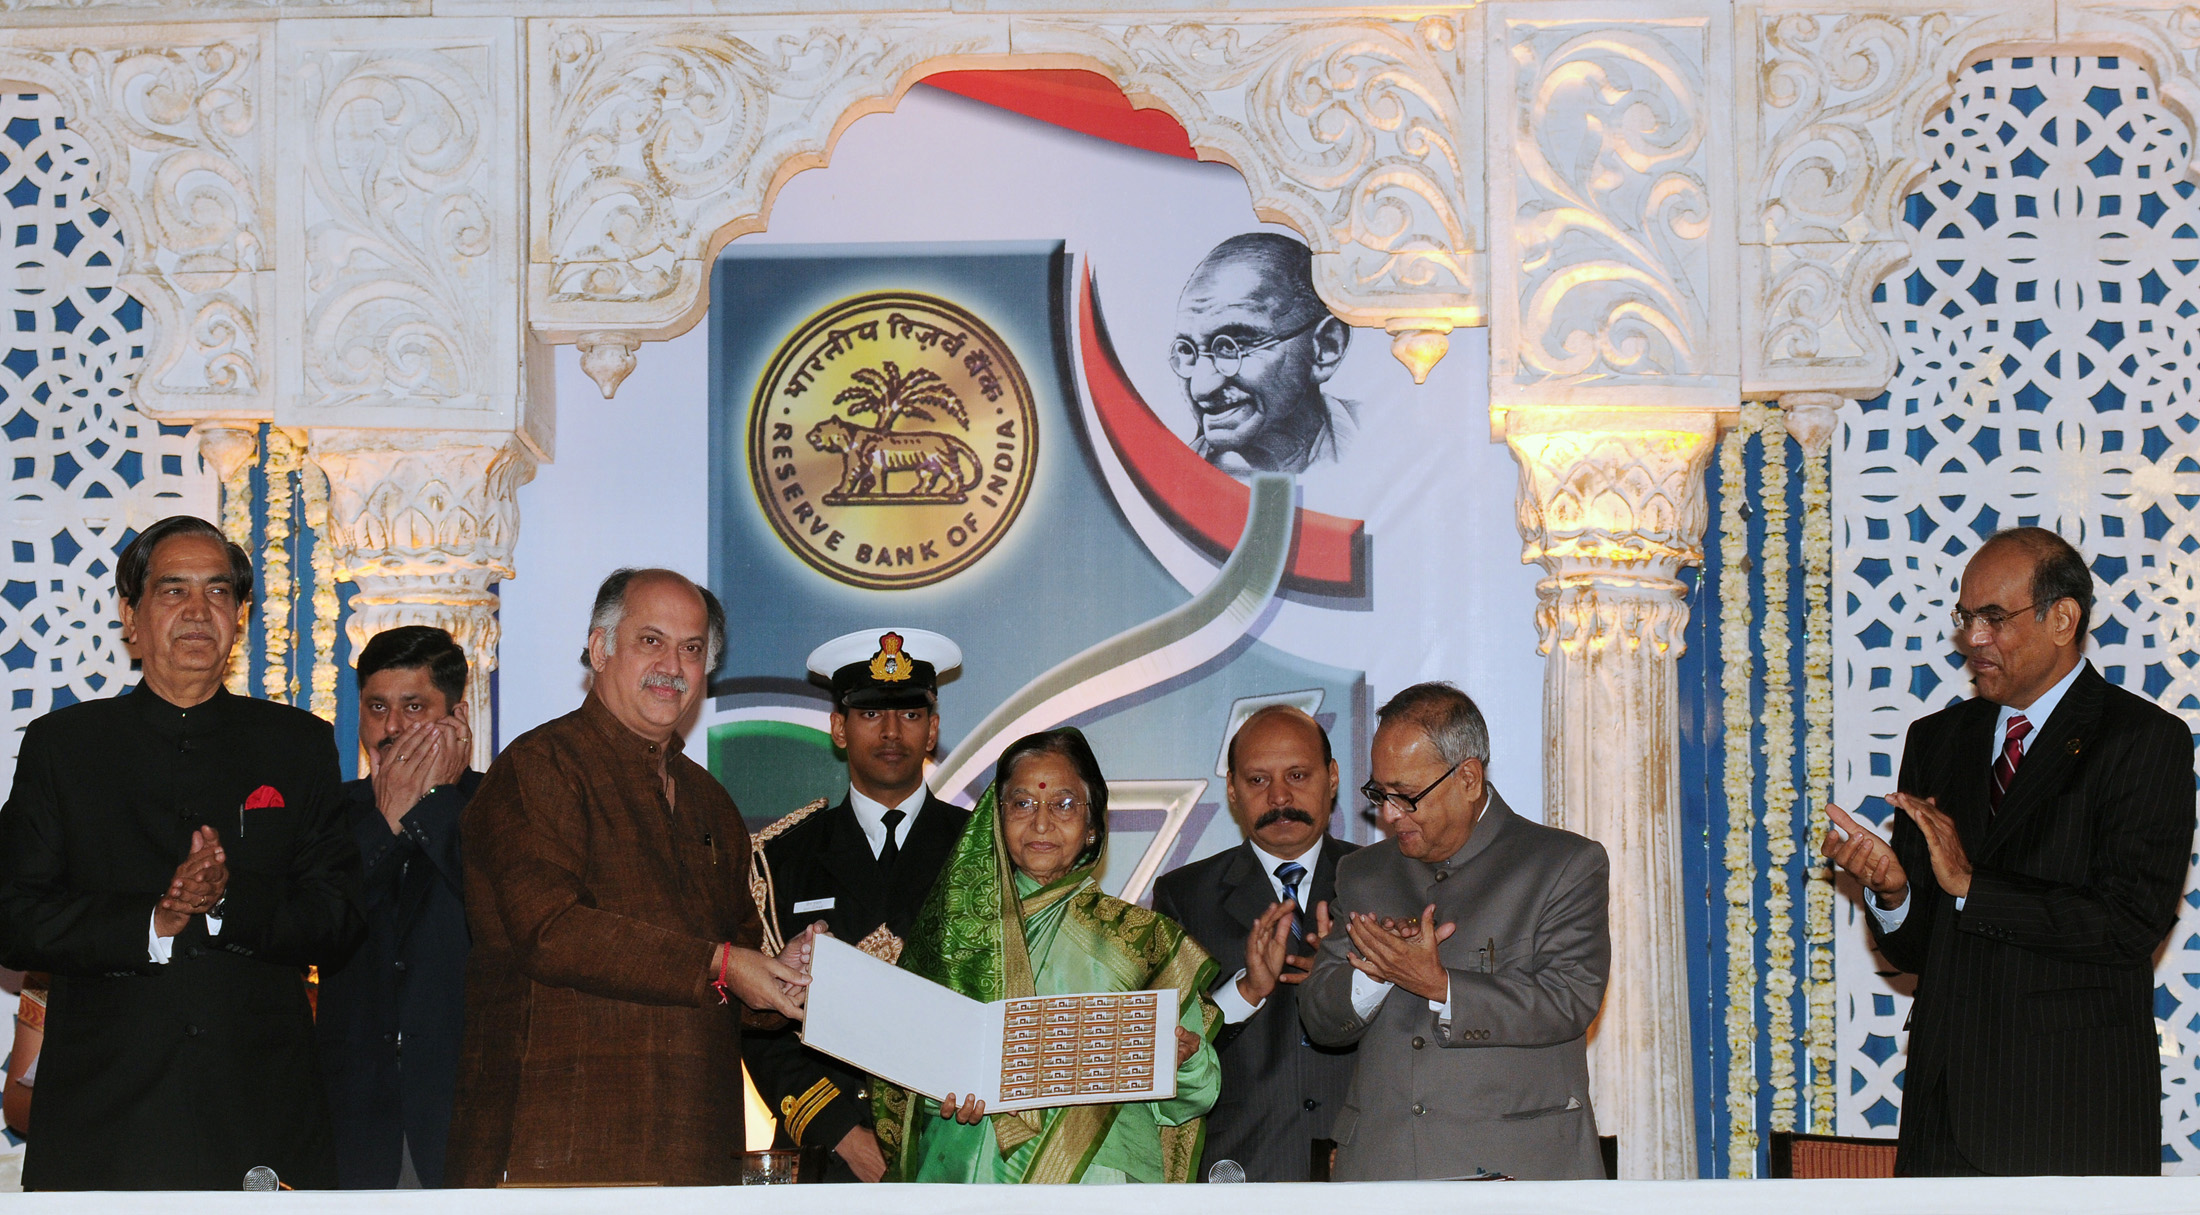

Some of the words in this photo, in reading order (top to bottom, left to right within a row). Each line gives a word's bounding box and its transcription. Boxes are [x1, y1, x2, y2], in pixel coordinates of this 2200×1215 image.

[781, 318, 881, 403] भारतीय
[883, 305, 971, 361] रिज़र्व
[959, 345, 1008, 407] बैंक
[769, 420, 849, 556] RESERVE
[977, 416, 1018, 511] INDIA
[853, 535, 946, 573] BANK
[941, 508, 984, 554] OF